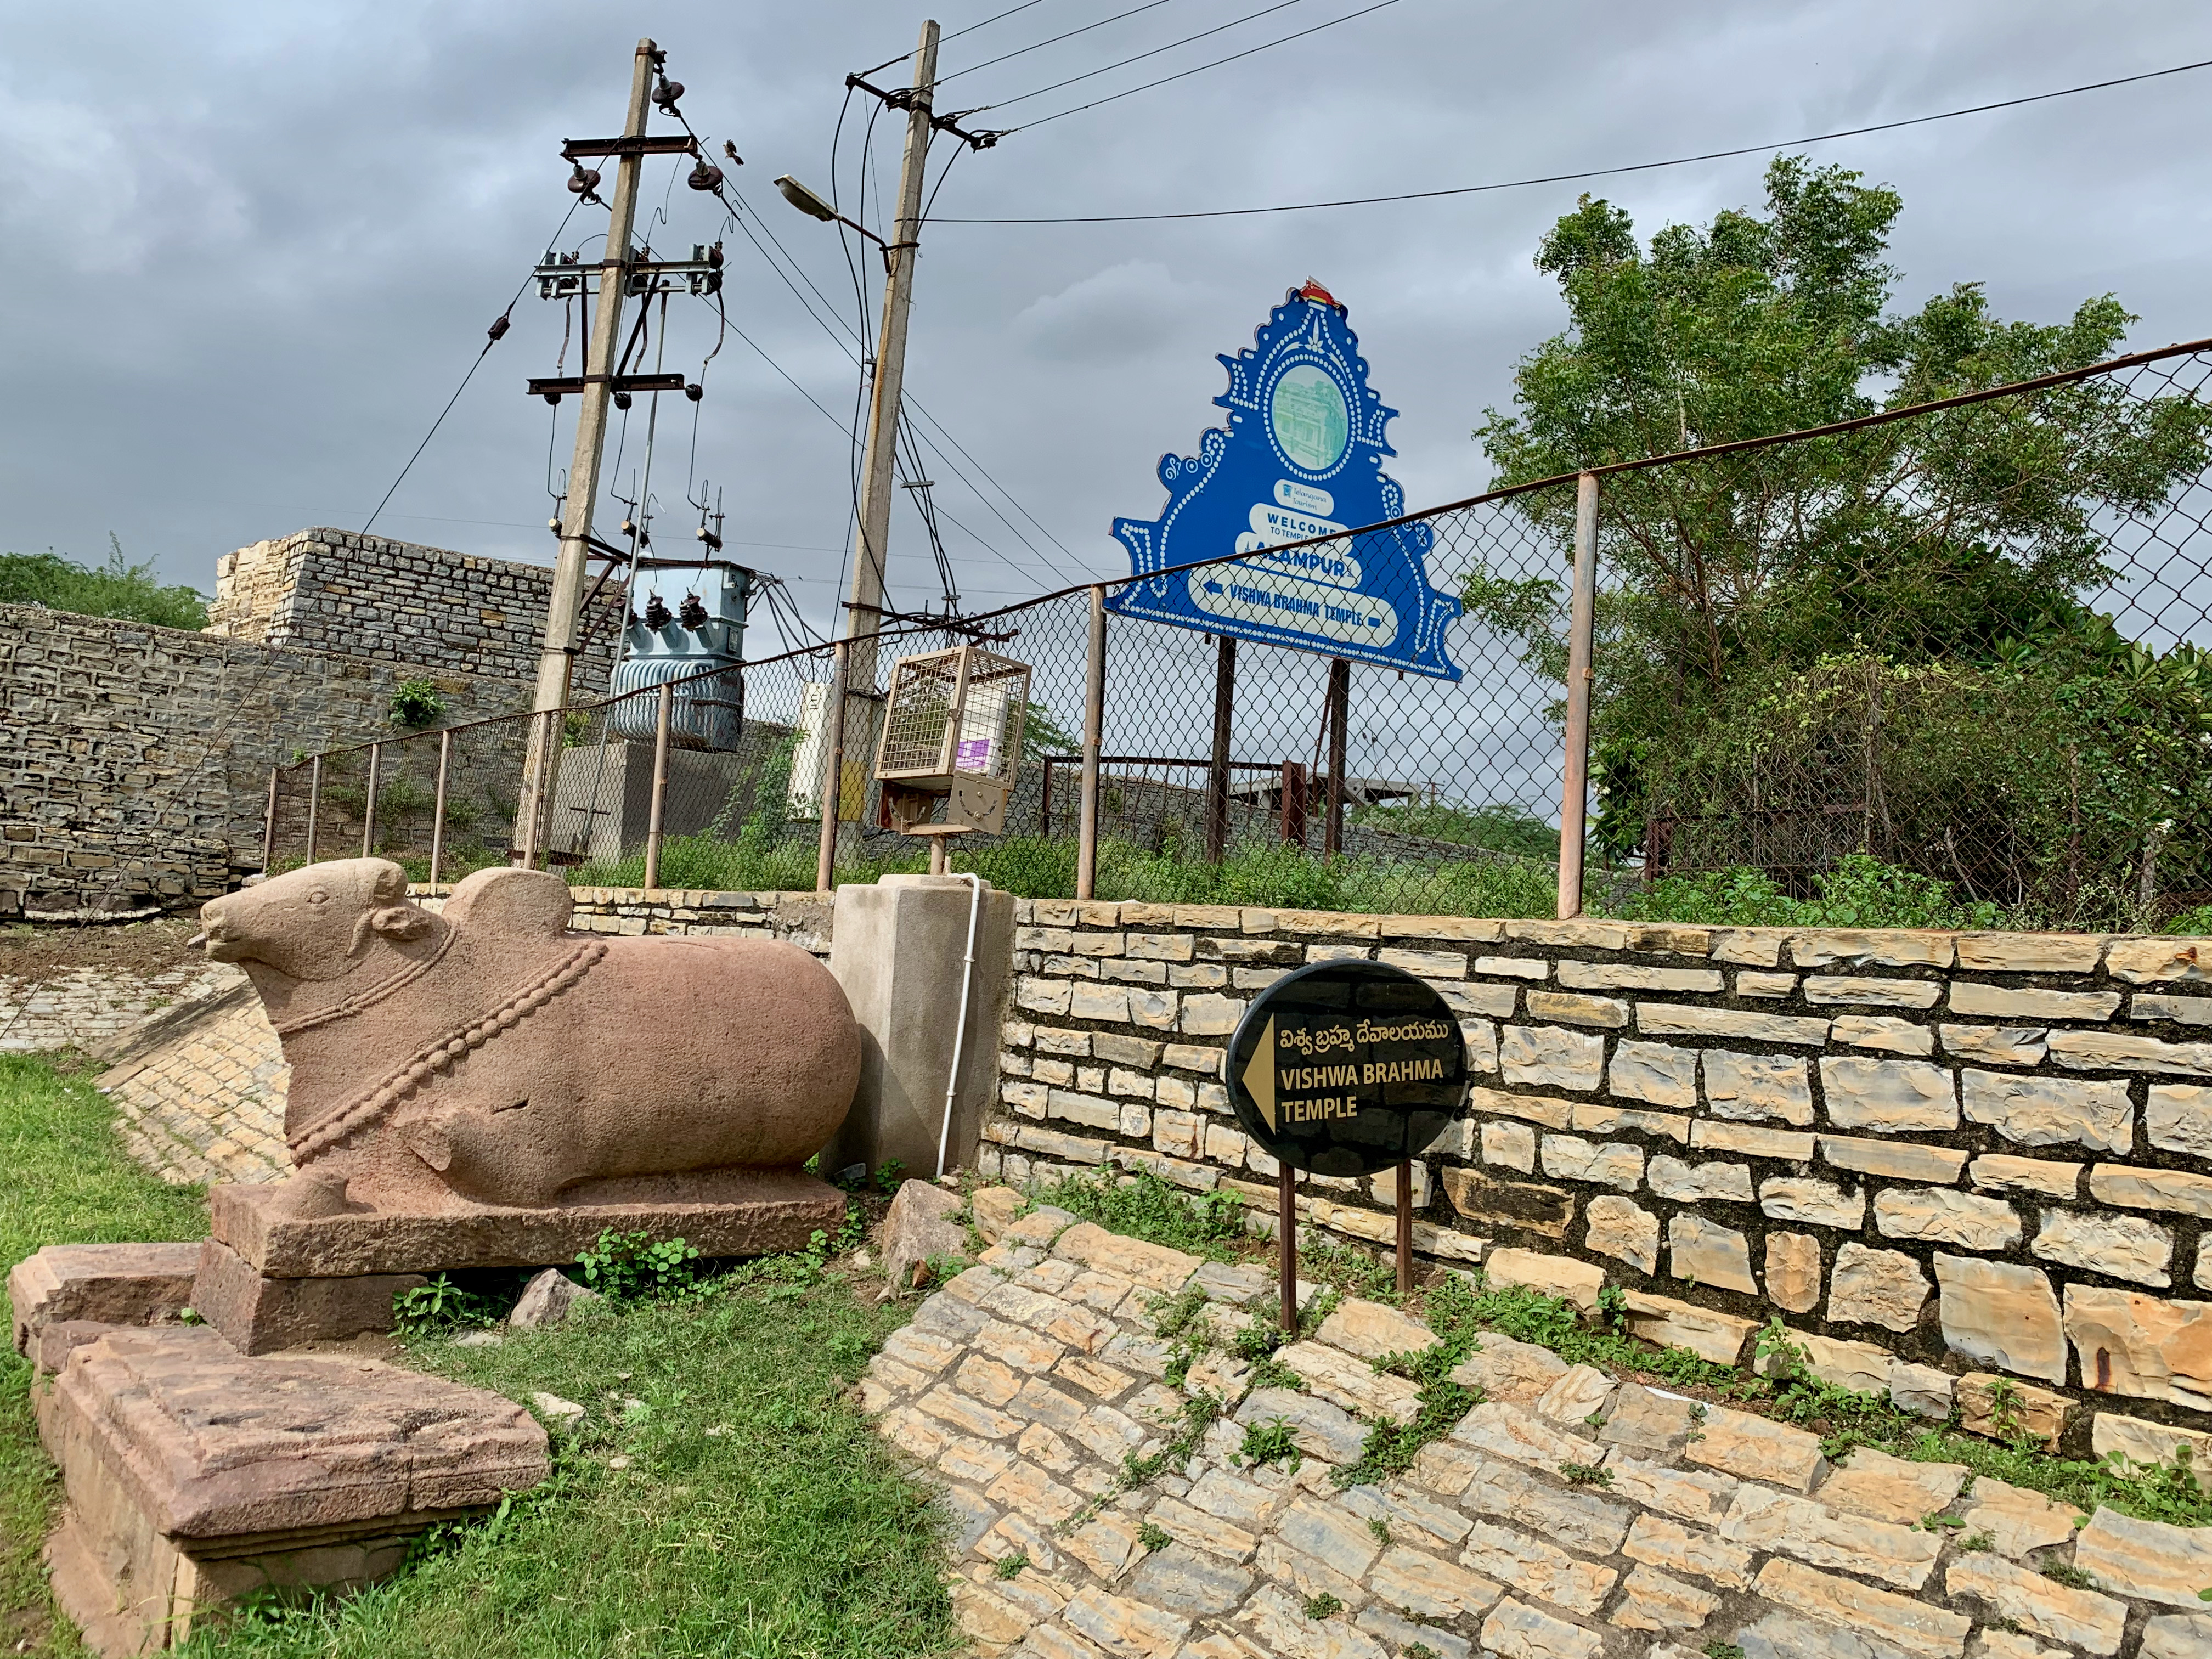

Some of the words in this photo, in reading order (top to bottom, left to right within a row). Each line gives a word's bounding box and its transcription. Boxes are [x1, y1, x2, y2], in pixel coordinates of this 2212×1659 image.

[1266, 522, 1283, 539] TO
[1265, 509, 1341, 544] WELCOME
[1250, 535, 1349, 582] ALAMPUR
[1229, 578, 1274, 611] VISHWA
[1271, 590, 1321, 619] BRAHMA
[1322, 602, 1365, 628] TEMPLE
[1275, 1019, 1359, 1058] విశ్వబ్రహ్మ
[1352, 1014, 1452, 1046] దేవాలయము
[1275, 1060, 1360, 1093] VISHWA
[1361, 1055, 1446, 1086] BRAHMA
[1278, 1093, 1361, 1127] TEMPLE